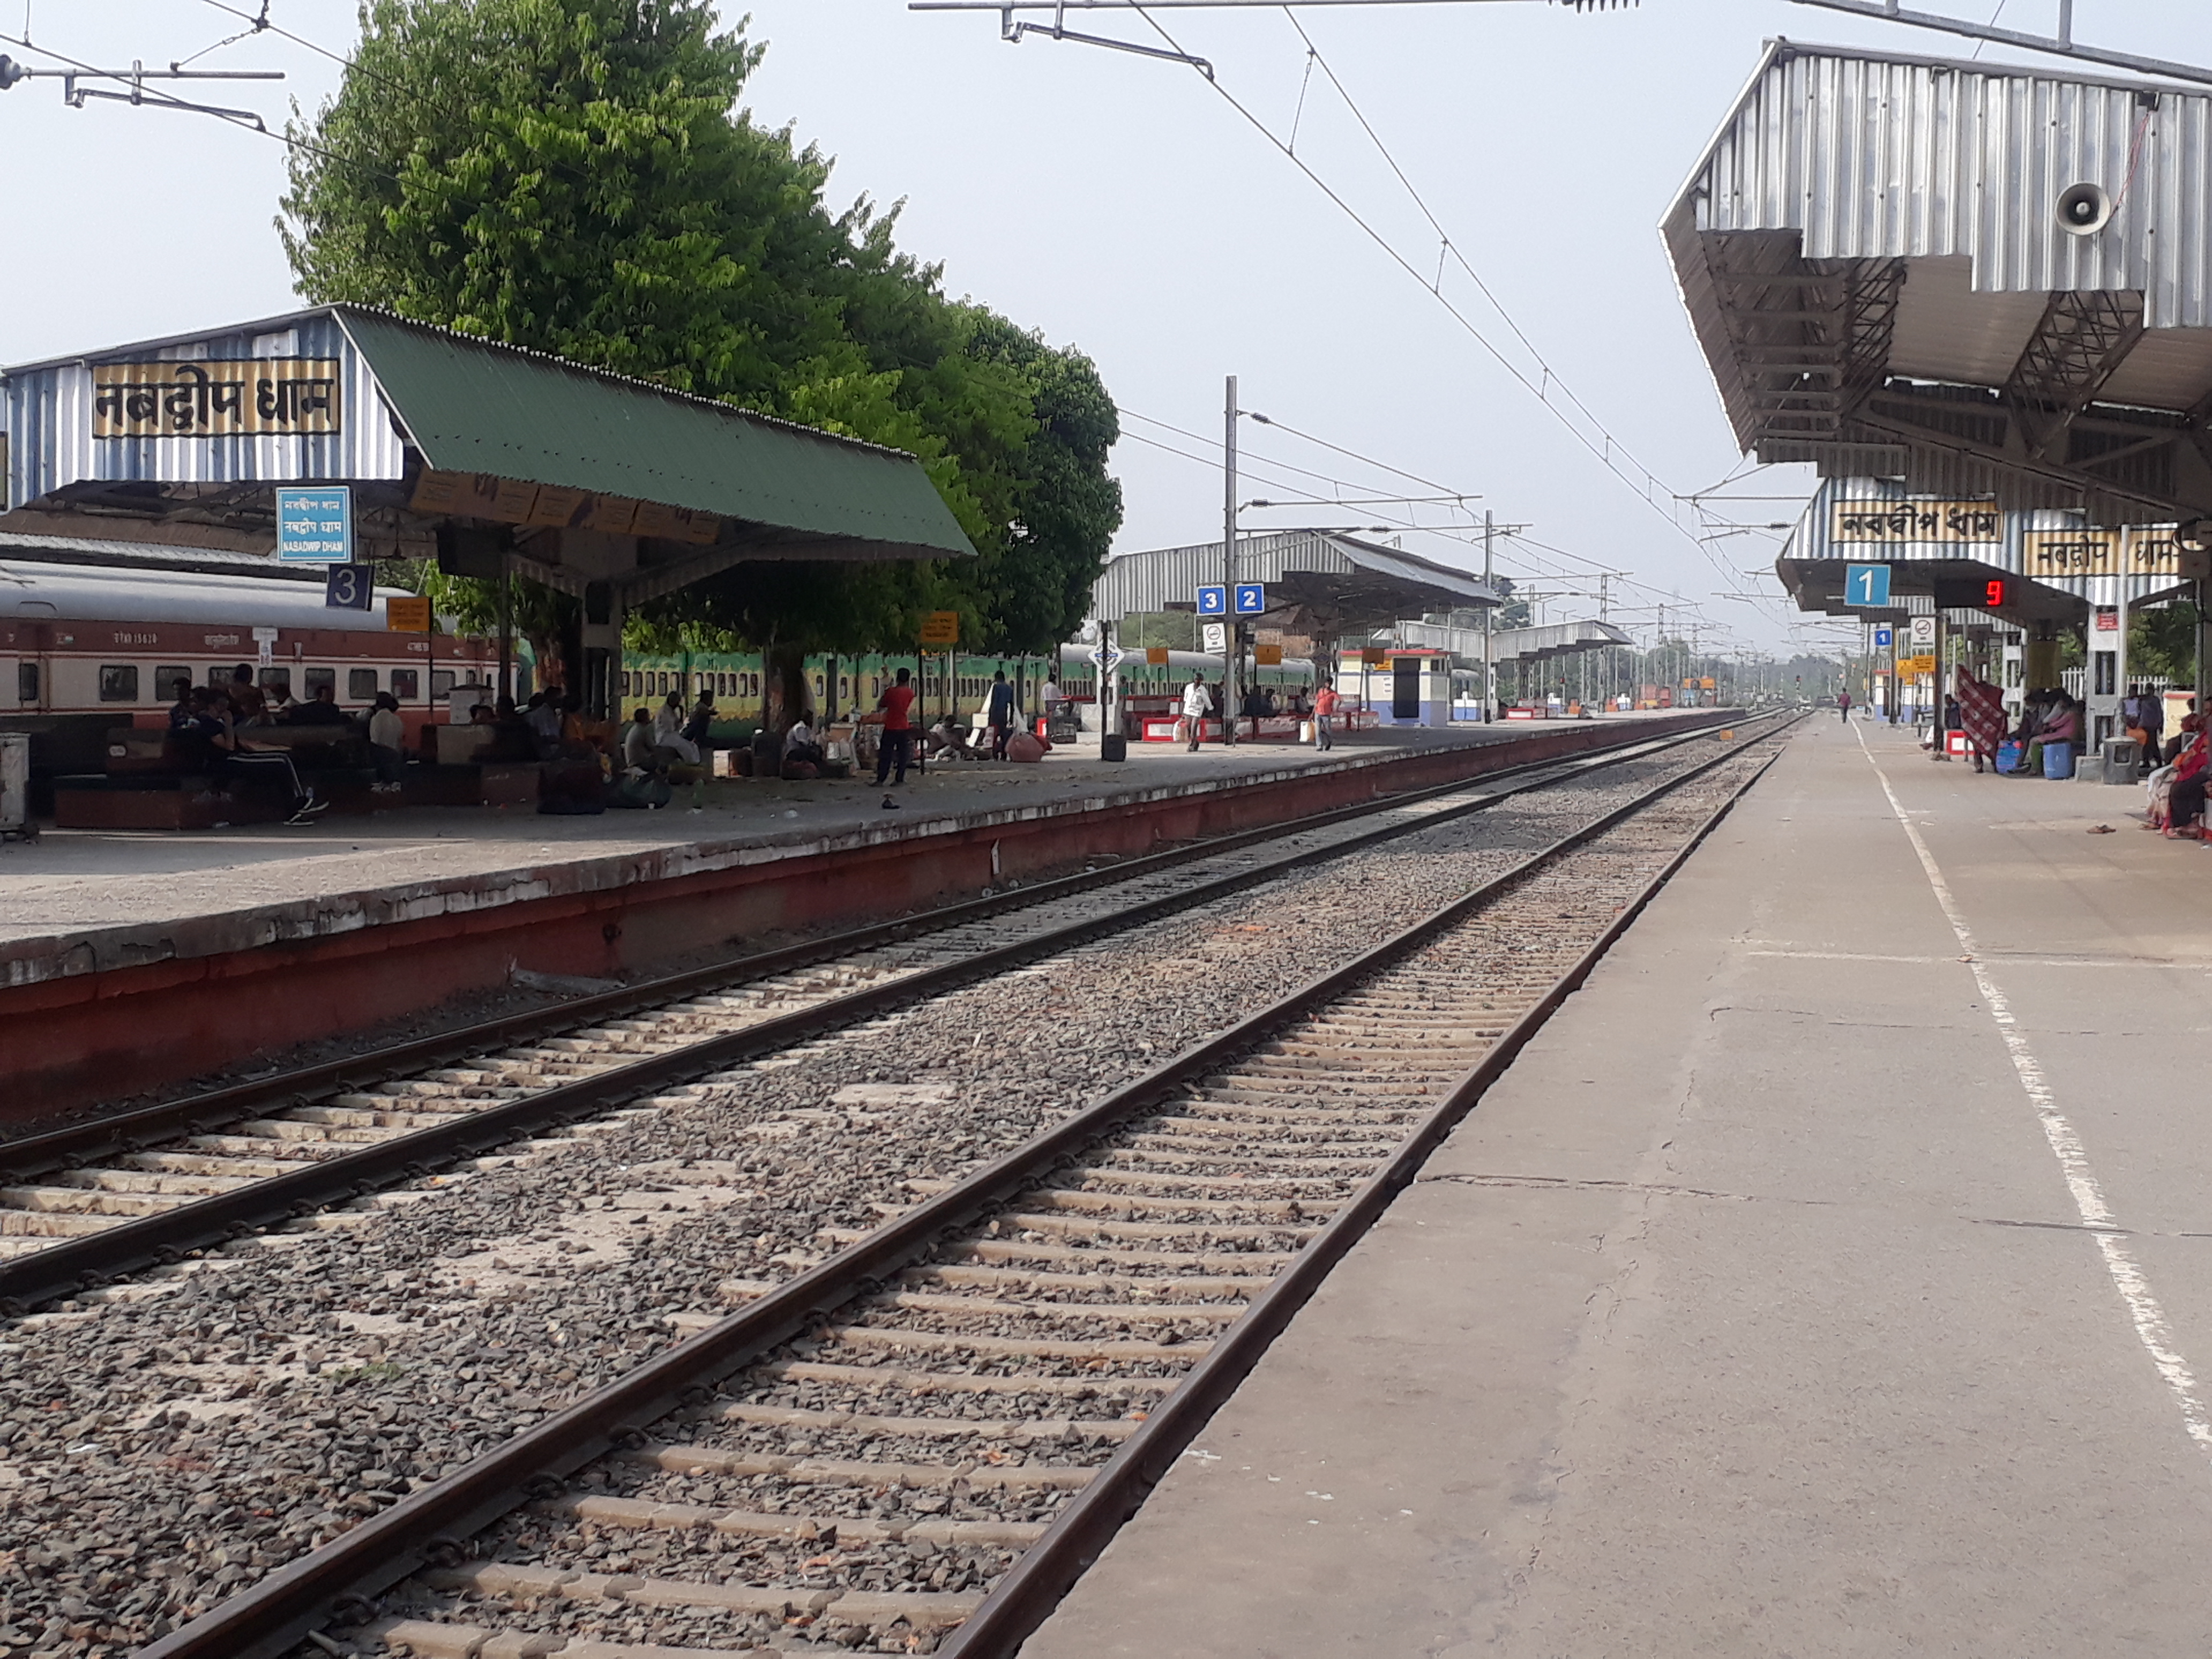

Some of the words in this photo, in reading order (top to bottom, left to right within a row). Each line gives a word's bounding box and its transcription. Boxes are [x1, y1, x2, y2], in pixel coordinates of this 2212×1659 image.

[88, 360, 248, 437] नबद्वीप
[245, 370, 339, 435] धाम
[282, 515, 320, 537] नबद्वीप
[282, 492, 321, 513] নবদ্বীপ
[280, 536, 324, 556] NASADWIP
[318, 494, 342, 513] ধাম
[318, 518, 344, 536] धाम
[320, 536, 345, 557] DHAM
[1833, 492, 1947, 545] নবদ্বীপ
[1940, 501, 2000, 544] ধাম
[2031, 528, 2112, 571] नबद्वीप
[2130, 527, 2177, 569] धाम